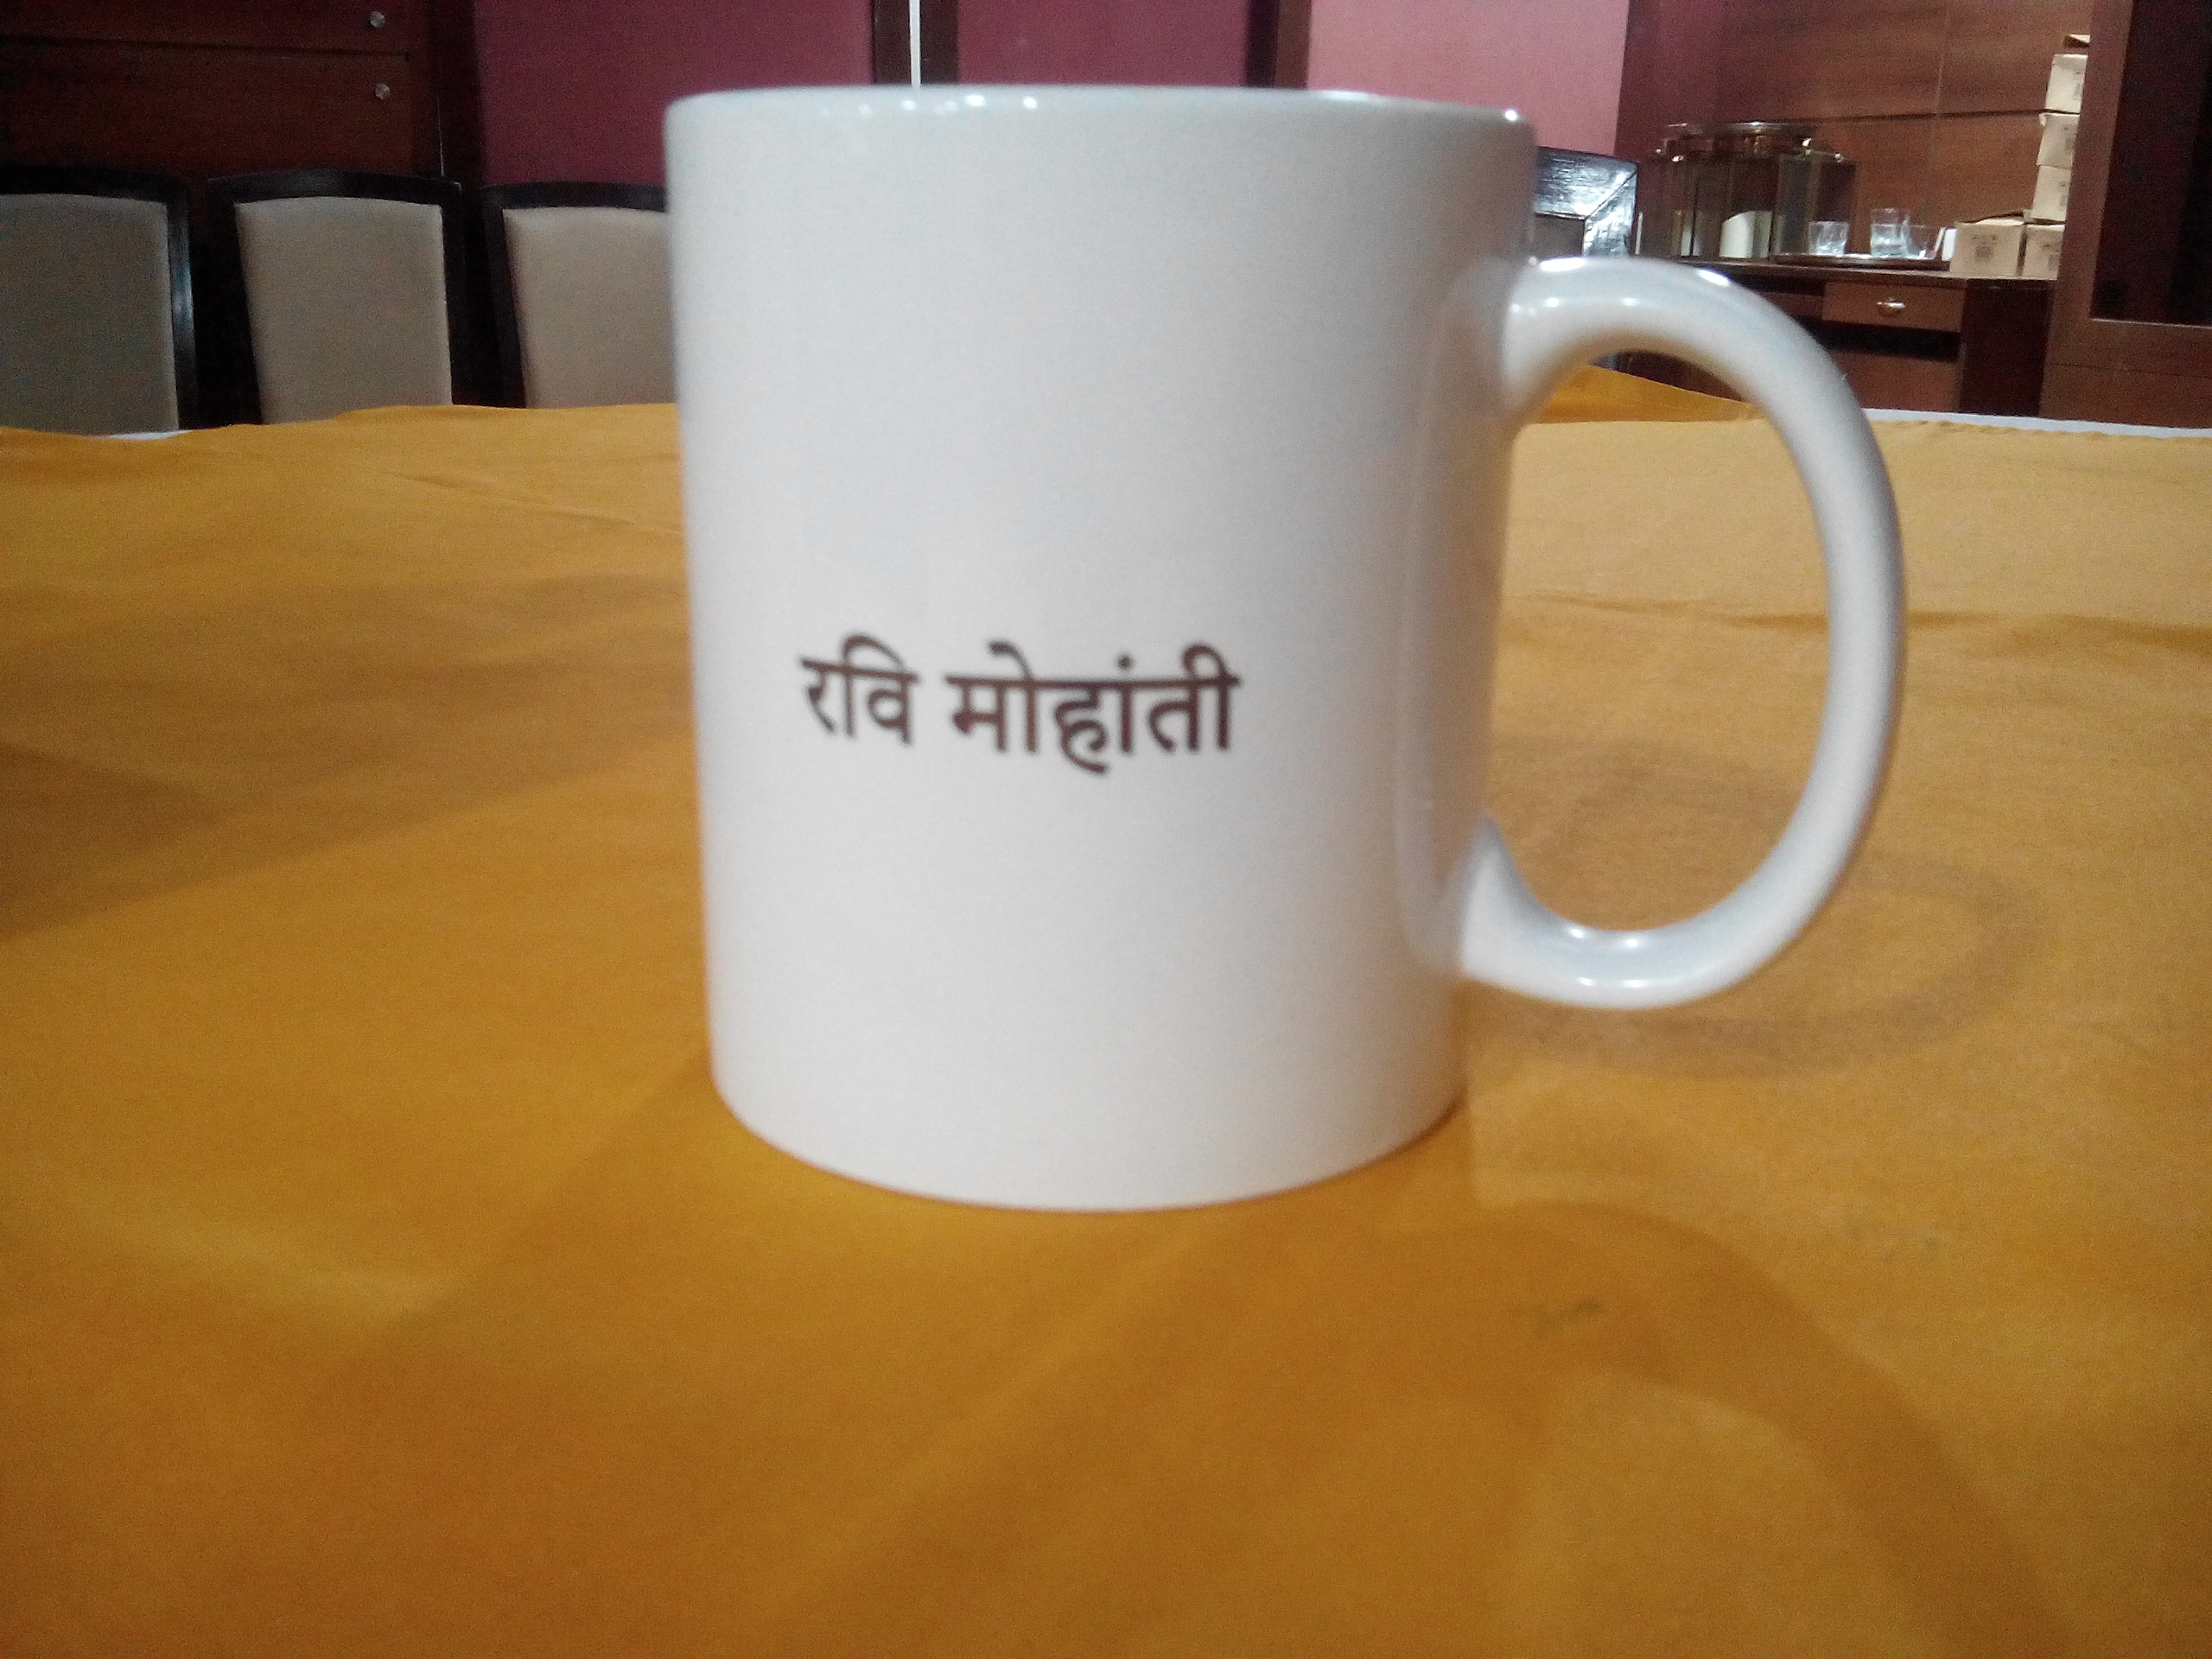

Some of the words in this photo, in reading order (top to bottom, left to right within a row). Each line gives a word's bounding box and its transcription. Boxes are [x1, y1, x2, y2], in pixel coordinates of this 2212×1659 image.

[800, 627, 917, 749] रवि
[944, 639, 1249, 779] मोहांती